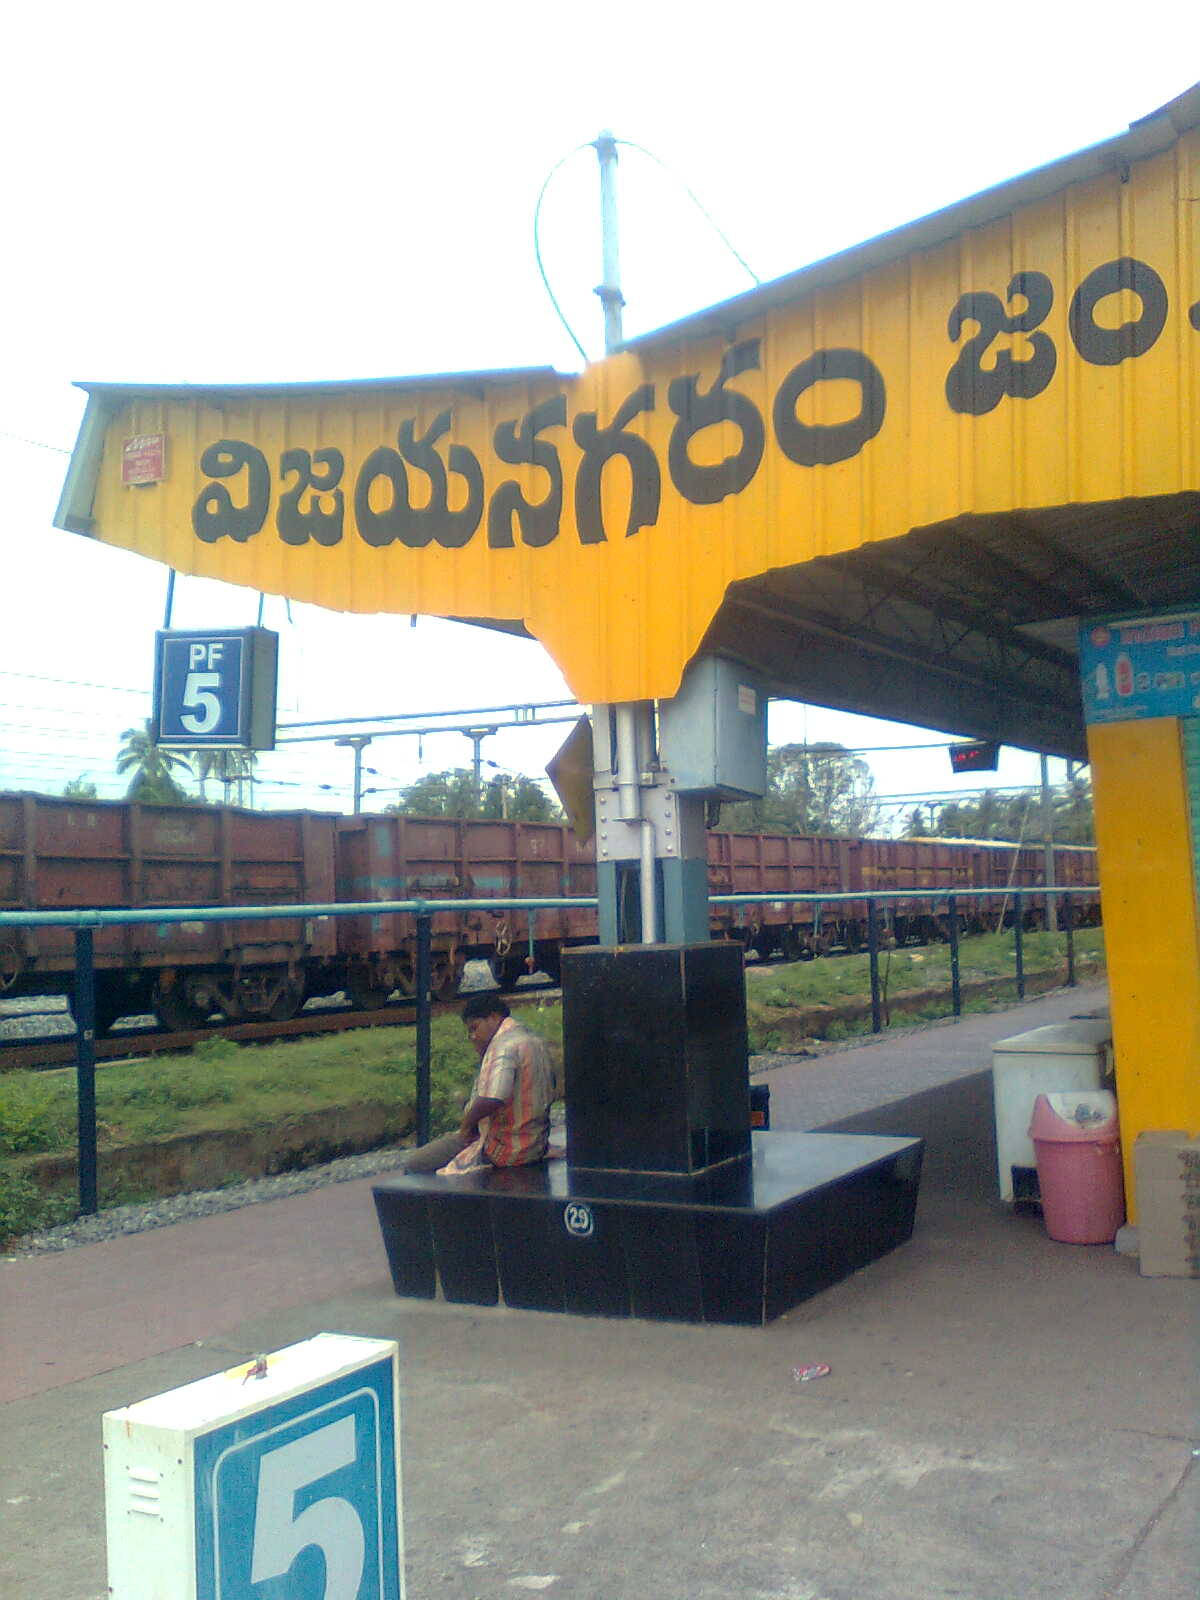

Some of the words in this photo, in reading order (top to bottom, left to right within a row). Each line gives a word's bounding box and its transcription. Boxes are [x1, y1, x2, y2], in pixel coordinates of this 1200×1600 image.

[926, 244, 1180, 427] జం
[188, 334, 893, 555] విజయనగరం
[174, 637, 232, 739] PF5